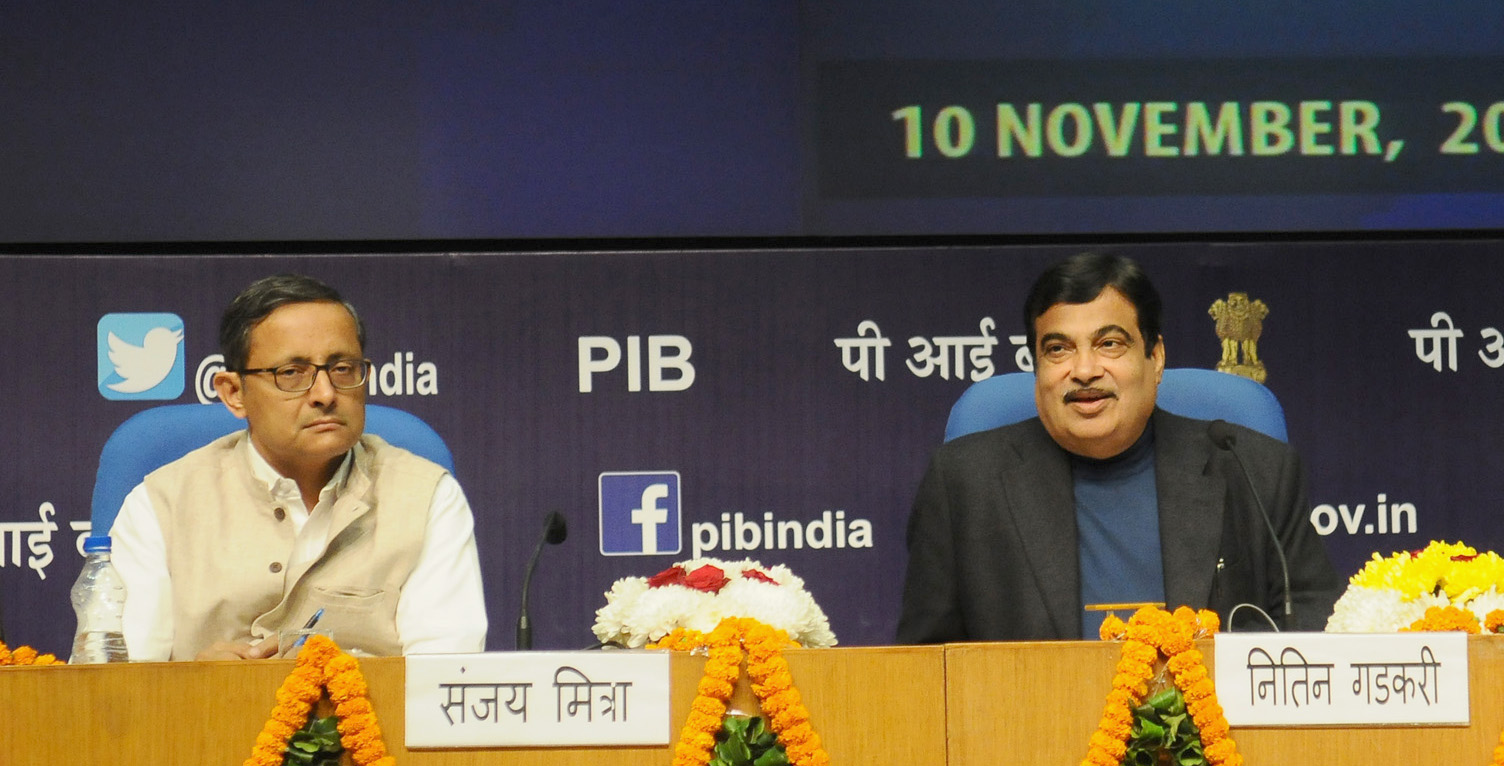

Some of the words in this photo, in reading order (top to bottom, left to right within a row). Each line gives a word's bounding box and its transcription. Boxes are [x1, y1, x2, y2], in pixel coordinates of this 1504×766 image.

[881, 98, 982, 170] 10
[987, 89, 1389, 169] NOVEMBER
[361, 346, 441, 402] dia
[570, 329, 699, 401] PIB
[831, 318, 896, 391] पी
[900, 309, 1000, 392] आई
[1398, 301, 1467, 378] पी
[0, 502, 63, 586] ई
[624, 482, 674, 557] f
[686, 503, 879, 568] pibindia
[1308, 491, 1421, 540] ov.in
[431, 656, 536, 732] संजय
[545, 662, 640, 731] मित्रा
[1234, 642, 1339, 712] नितिन
[1338, 638, 1443, 711] गडकरी